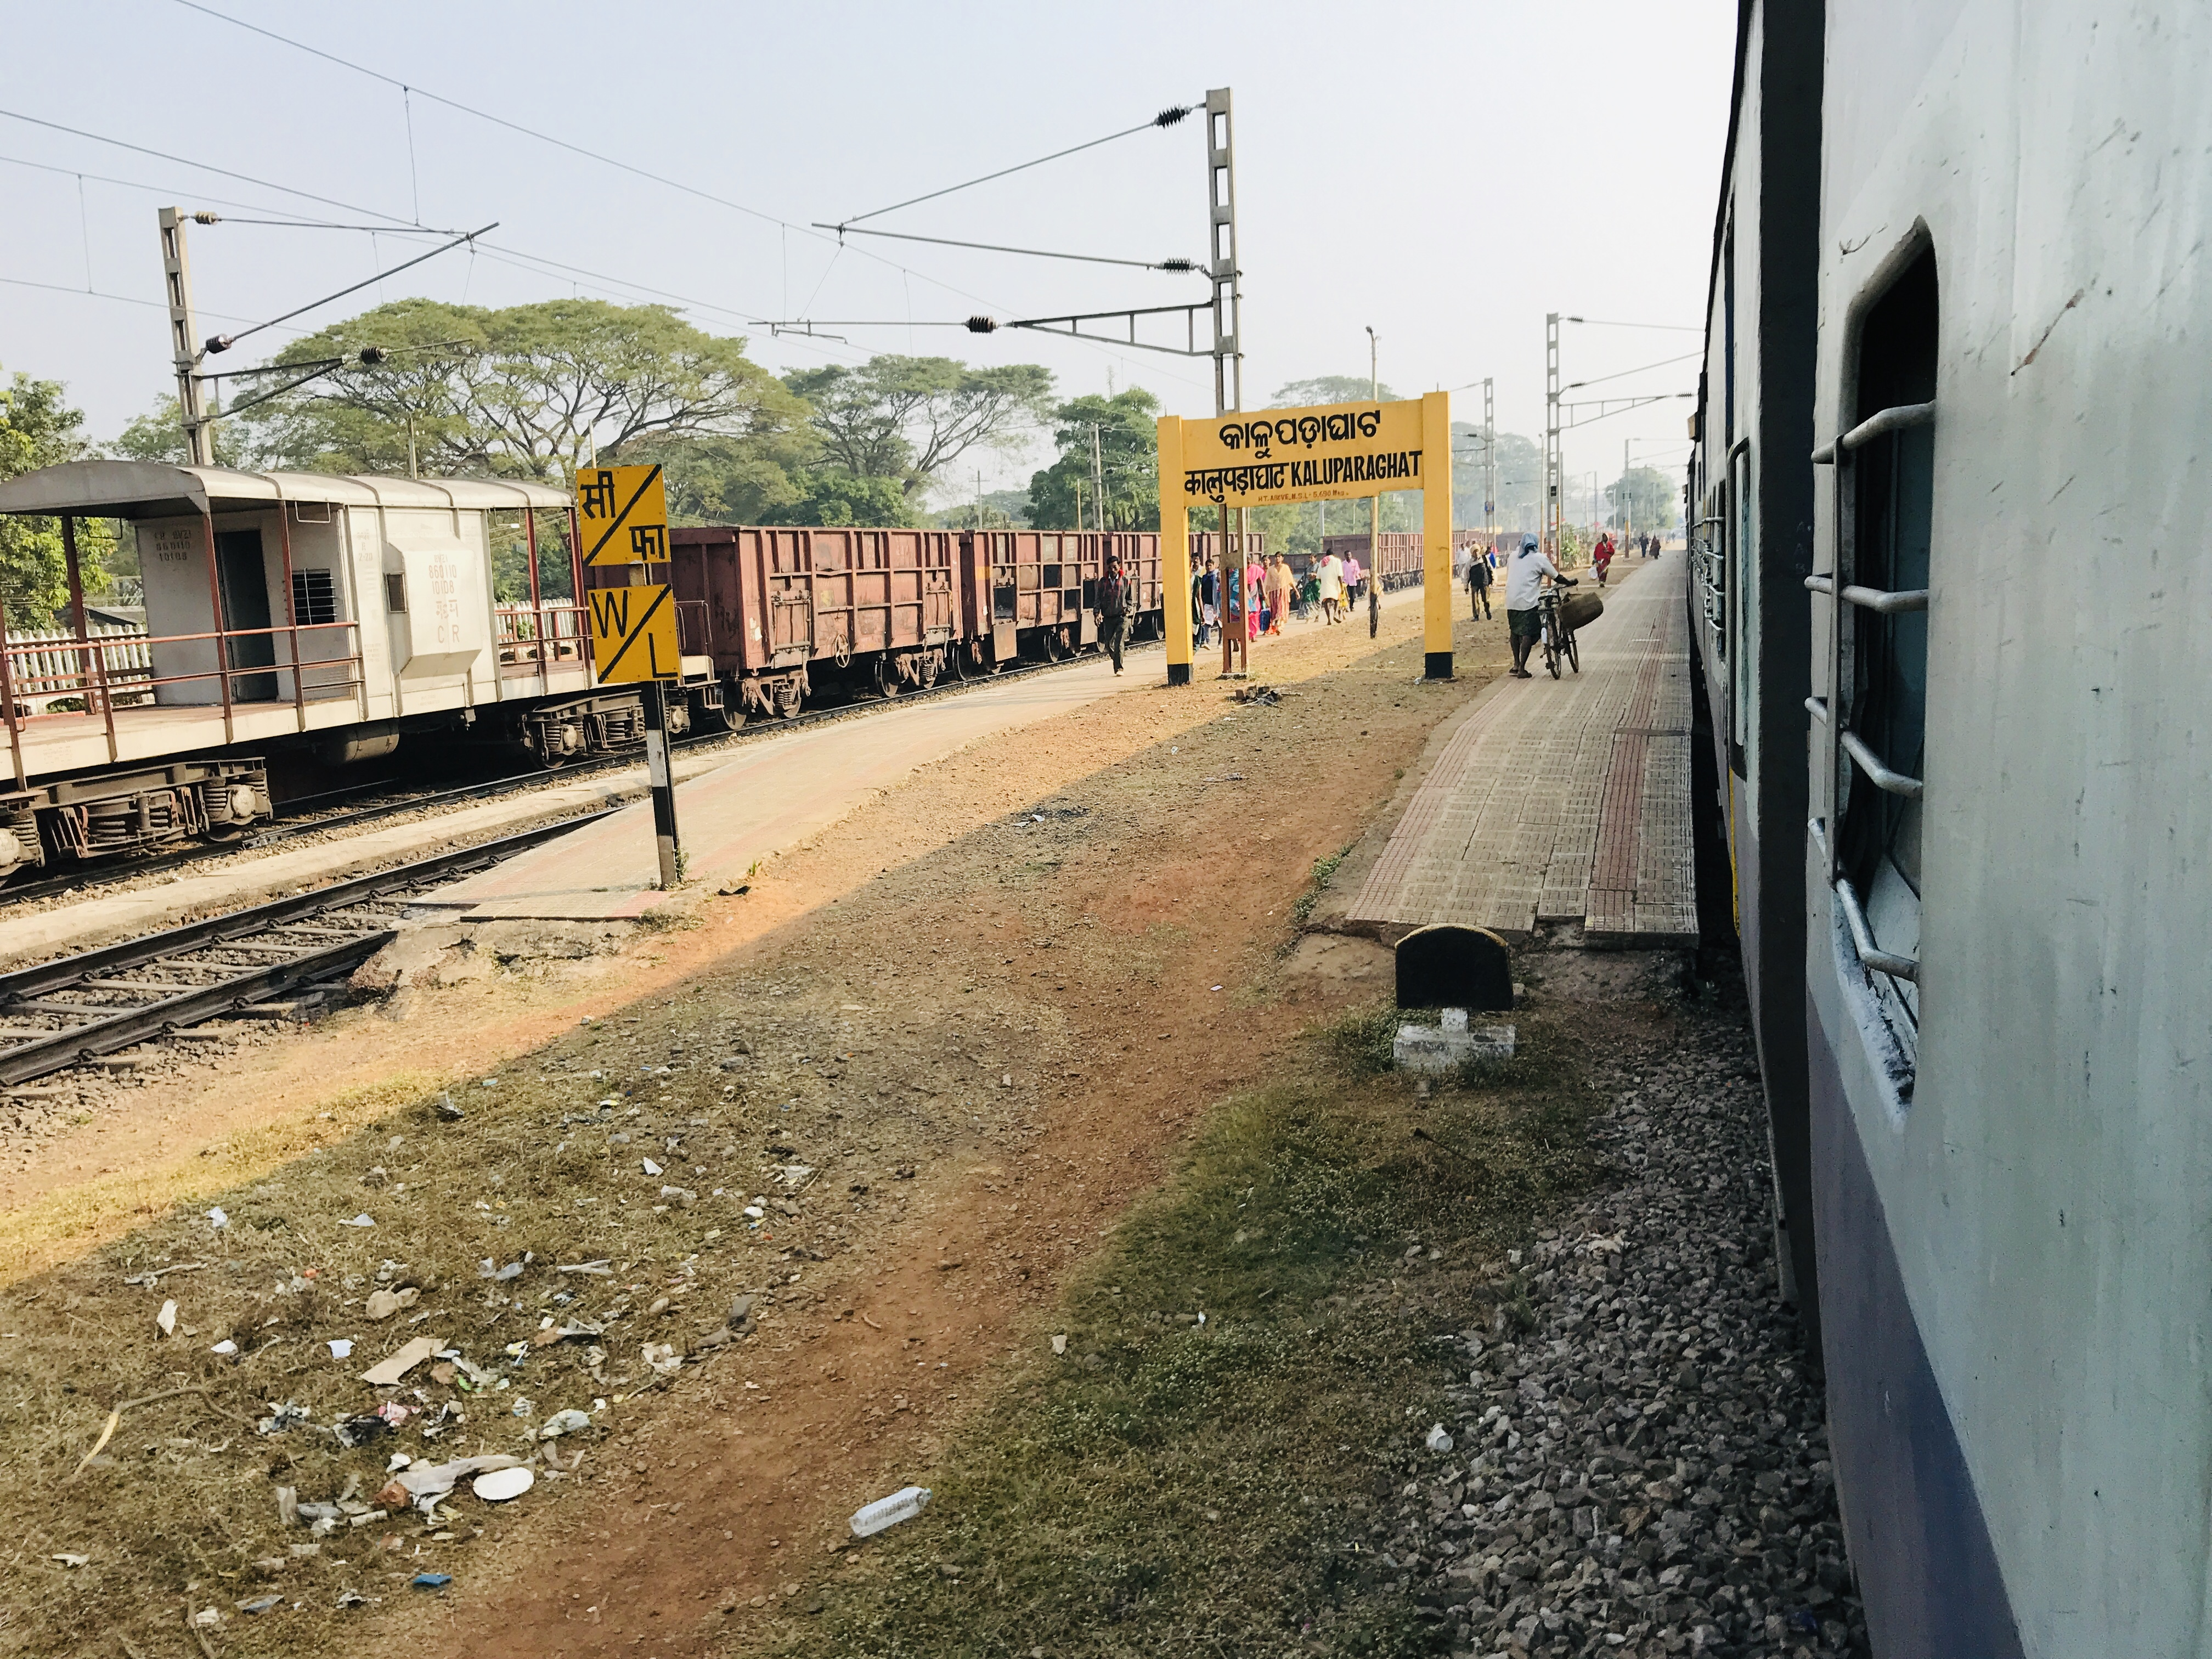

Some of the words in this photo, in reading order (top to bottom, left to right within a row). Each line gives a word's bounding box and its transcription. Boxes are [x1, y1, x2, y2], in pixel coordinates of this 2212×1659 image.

[1215, 407, 1383, 463] କାଳୁପଡ଼ାଘାଟ
[577, 466, 620, 523] सी
[1180, 460, 1293, 506] कालुपड़ाद्याट
[1287, 444, 1423, 491] KALUPARAGHAT
[625, 521, 667, 563] फा